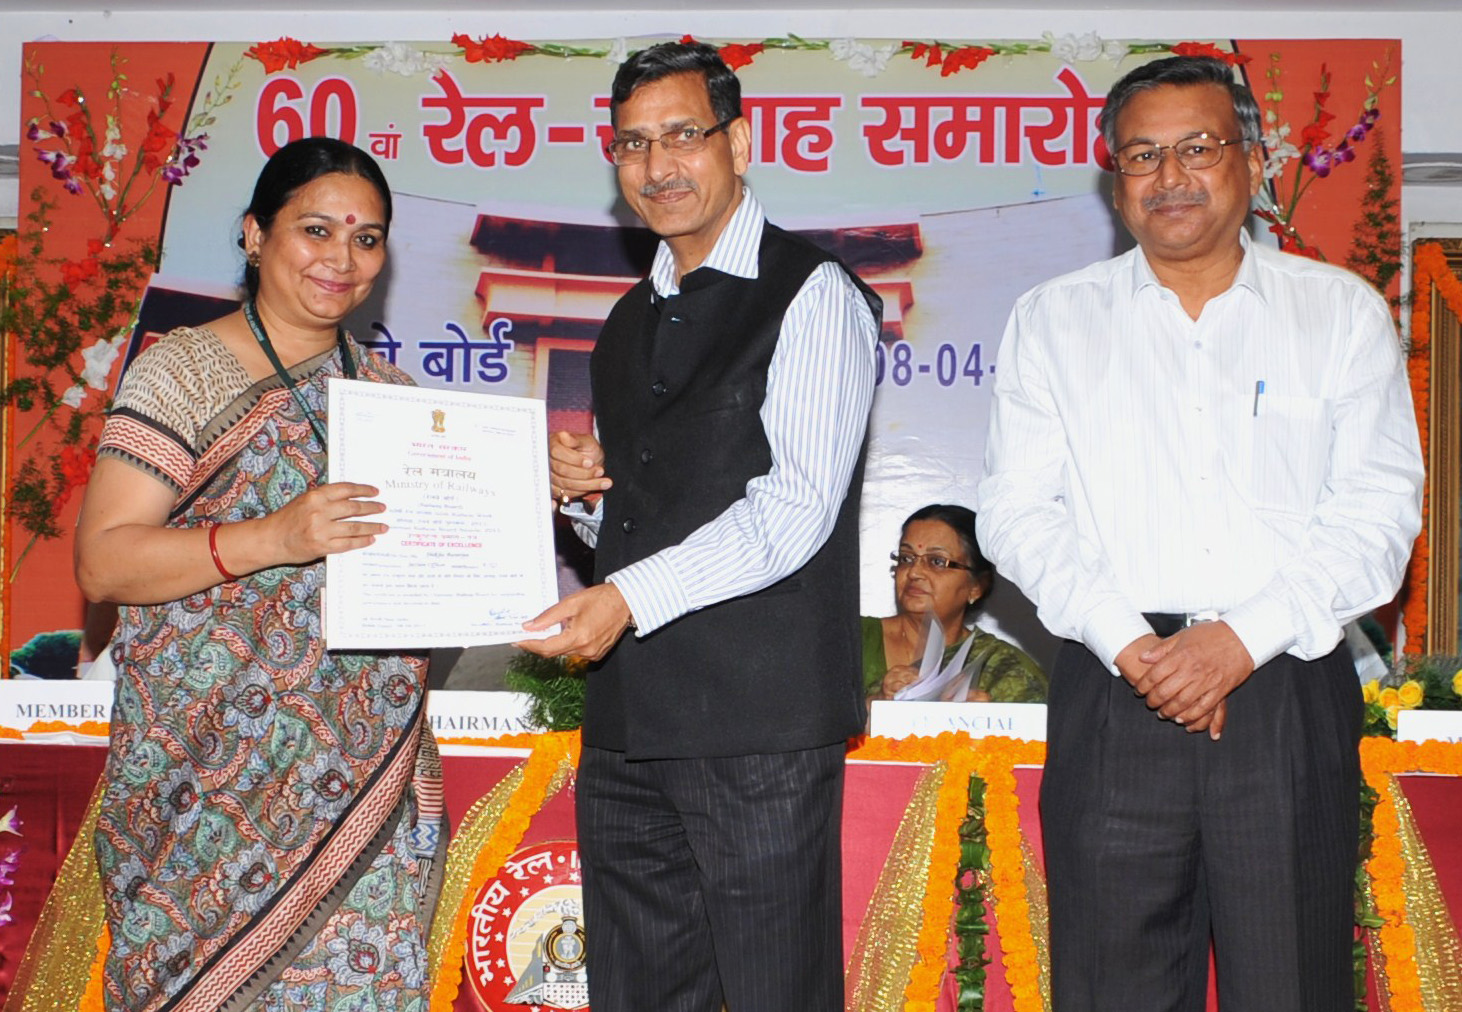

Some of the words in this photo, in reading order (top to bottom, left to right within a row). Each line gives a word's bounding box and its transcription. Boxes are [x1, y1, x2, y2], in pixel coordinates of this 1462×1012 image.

[367, 122, 407, 162] वां
[410, 70, 550, 177] रेल
[860, 60, 1128, 177] समारोह
[415, 312, 519, 389] बोर्ड
[888, 332, 989, 391] 8-04
[394, 459, 427, 483] रेल
[423, 461, 482, 485] मंत्रालय।
[8, 698, 111, 722] MEMBER
[501, 846, 559, 885] रेल
[467, 875, 512, 988] भारतीय